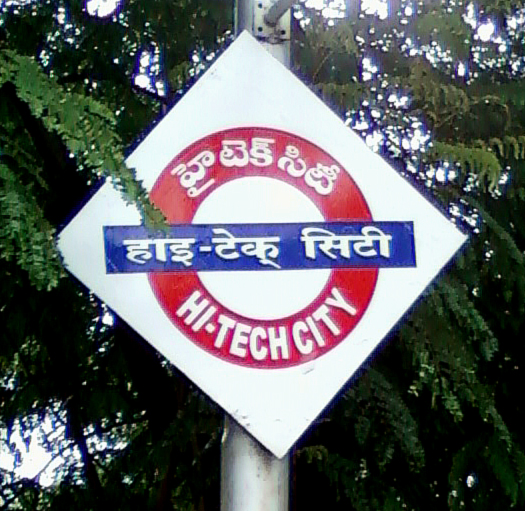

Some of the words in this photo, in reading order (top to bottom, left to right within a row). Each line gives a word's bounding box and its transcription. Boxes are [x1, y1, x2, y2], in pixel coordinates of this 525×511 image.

[165, 143, 225, 203] హై
[217, 132, 279, 176] టెక్
[275, 136, 345, 203] సిటీ
[121, 229, 200, 271] हाइ
[204, 221, 283, 272] टेक्
[293, 217, 393, 263] सिटी
[171, 283, 293, 366] HI-TECH
[288, 281, 362, 359] CITY